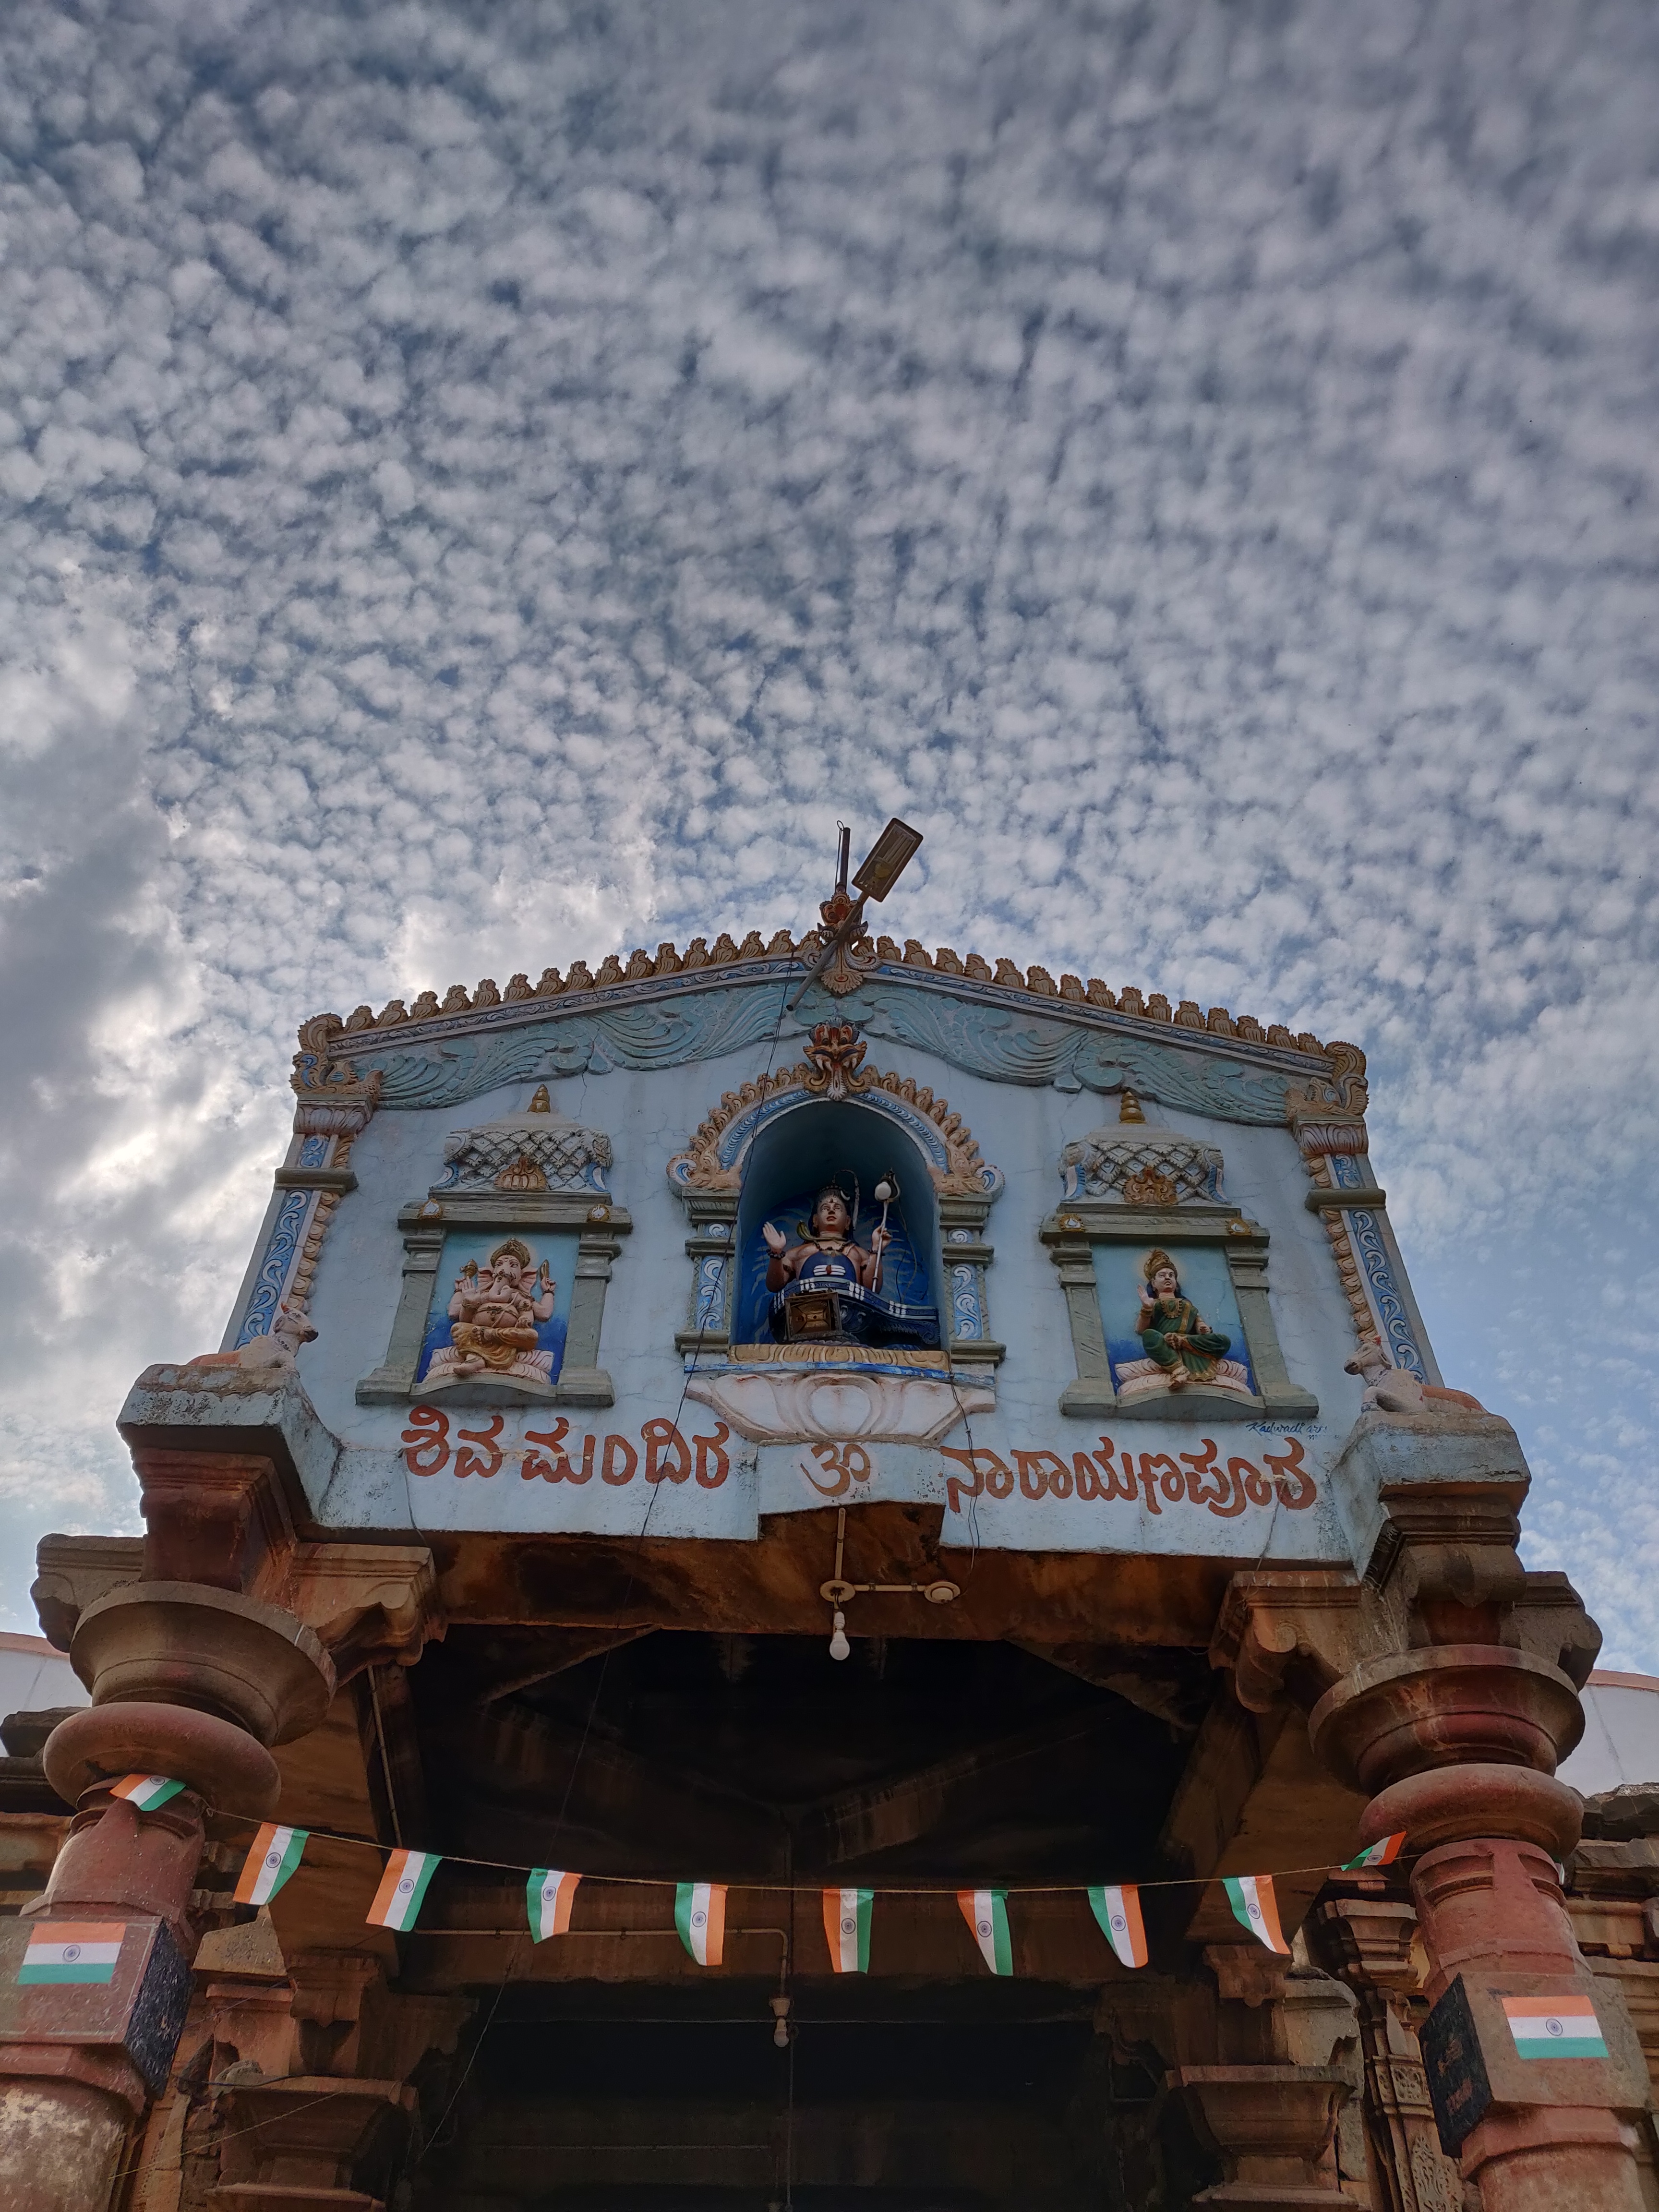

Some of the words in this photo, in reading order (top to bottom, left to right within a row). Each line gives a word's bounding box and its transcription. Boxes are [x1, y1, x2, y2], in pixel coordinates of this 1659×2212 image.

[394, 1391, 739, 1492] ಶಿವಮಂದಿರ
[792, 1431, 880, 1508] ॐ
[931, 1430, 1329, 1522] ನಾಶಾಋಣಪೂರ